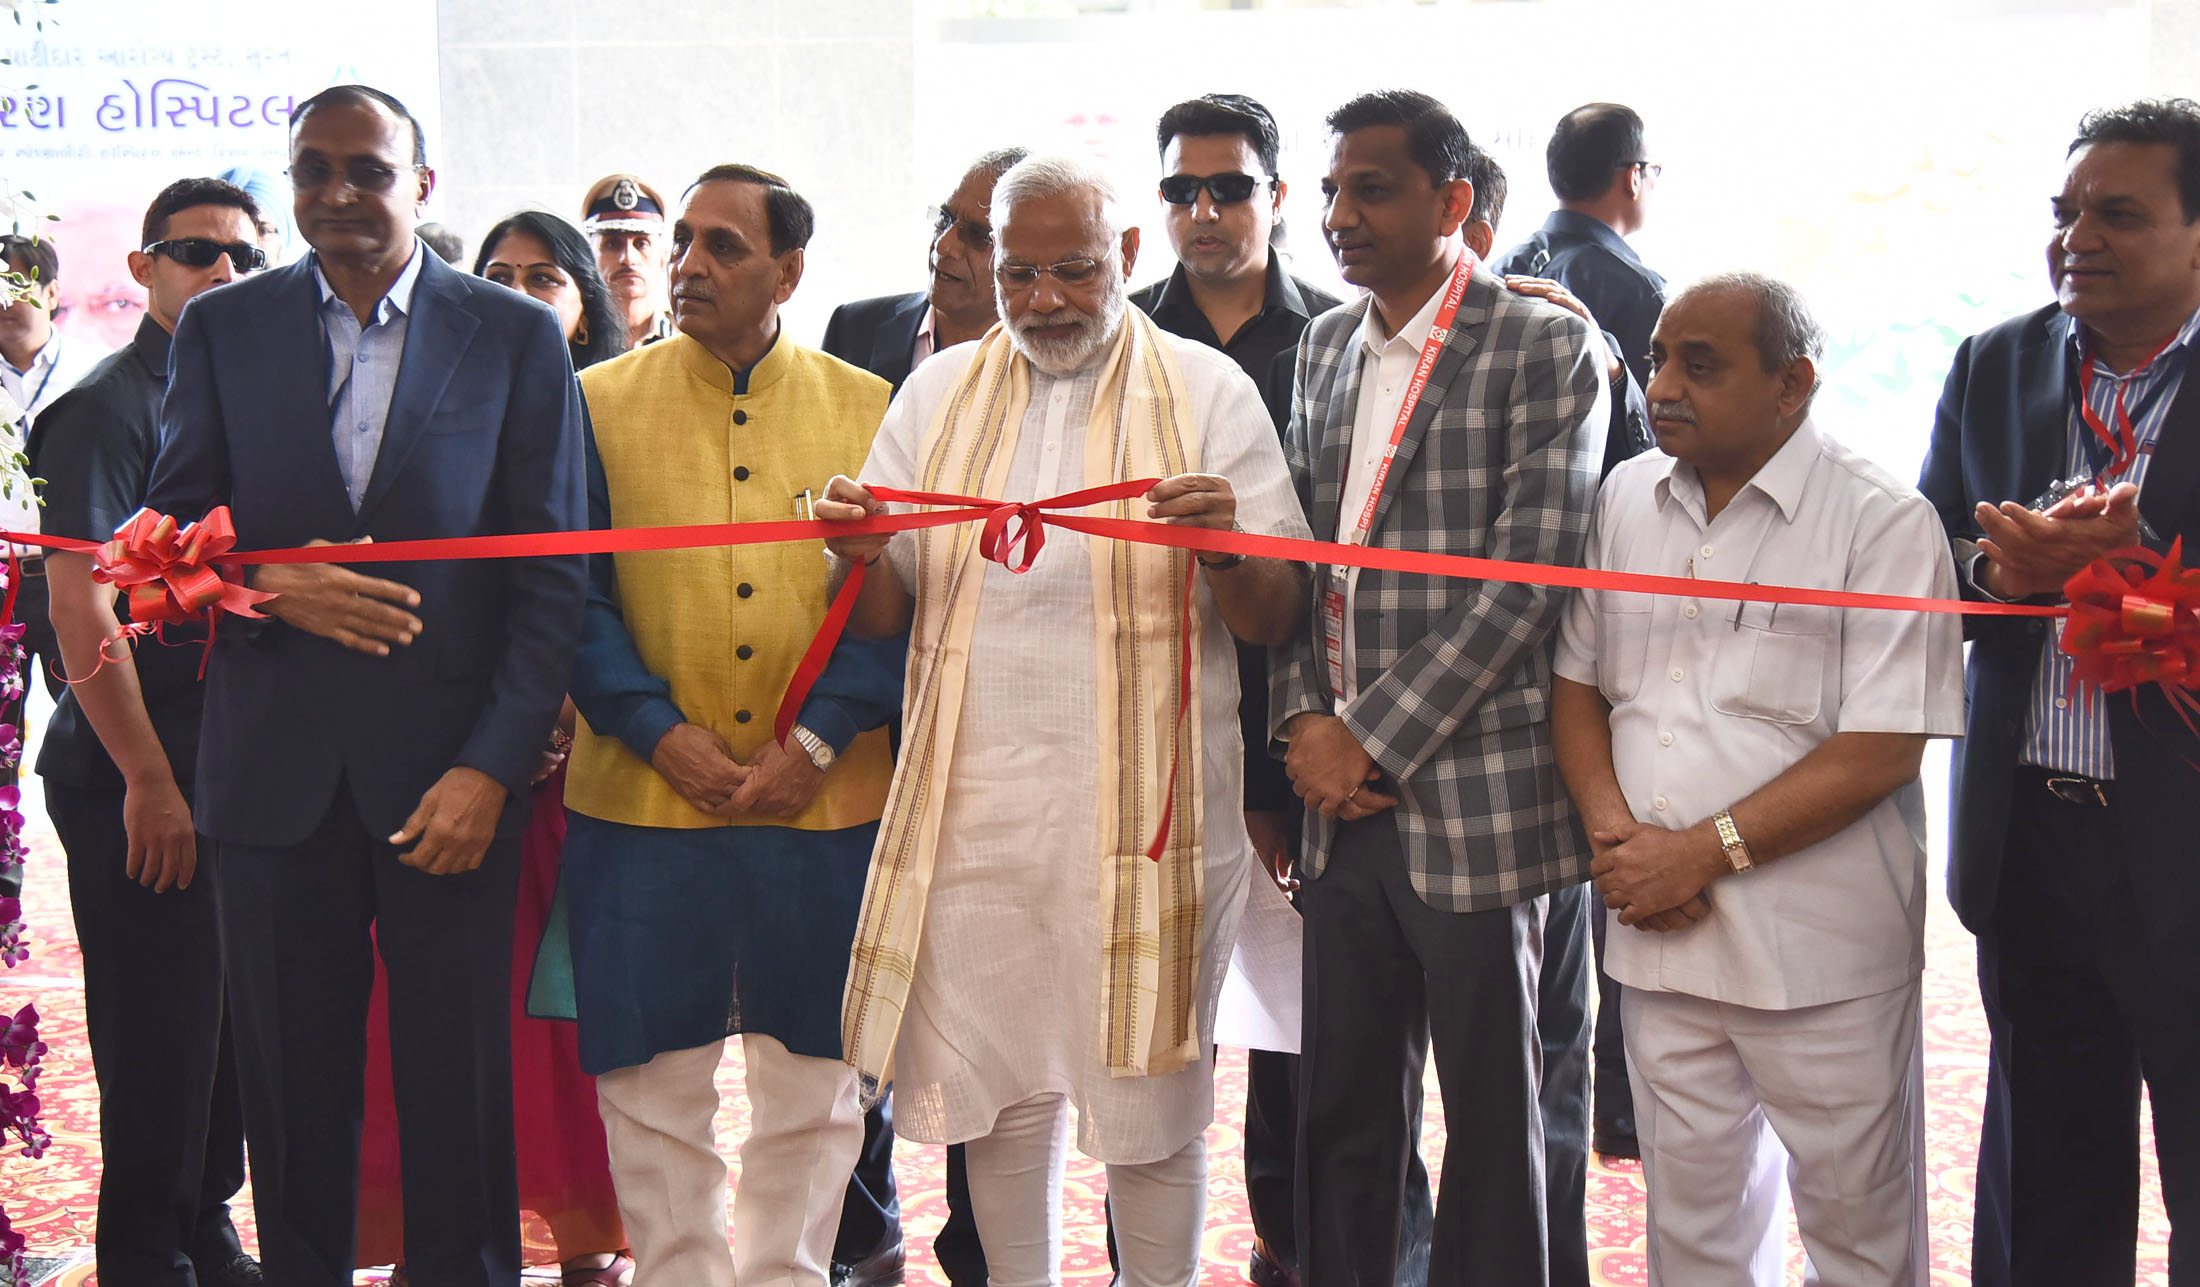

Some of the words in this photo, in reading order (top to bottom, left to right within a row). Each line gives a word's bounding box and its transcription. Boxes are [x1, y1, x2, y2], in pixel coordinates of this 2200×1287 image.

[19, 87, 74, 135] ણ
[93, 77, 296, 135] હોસ્પિટલ